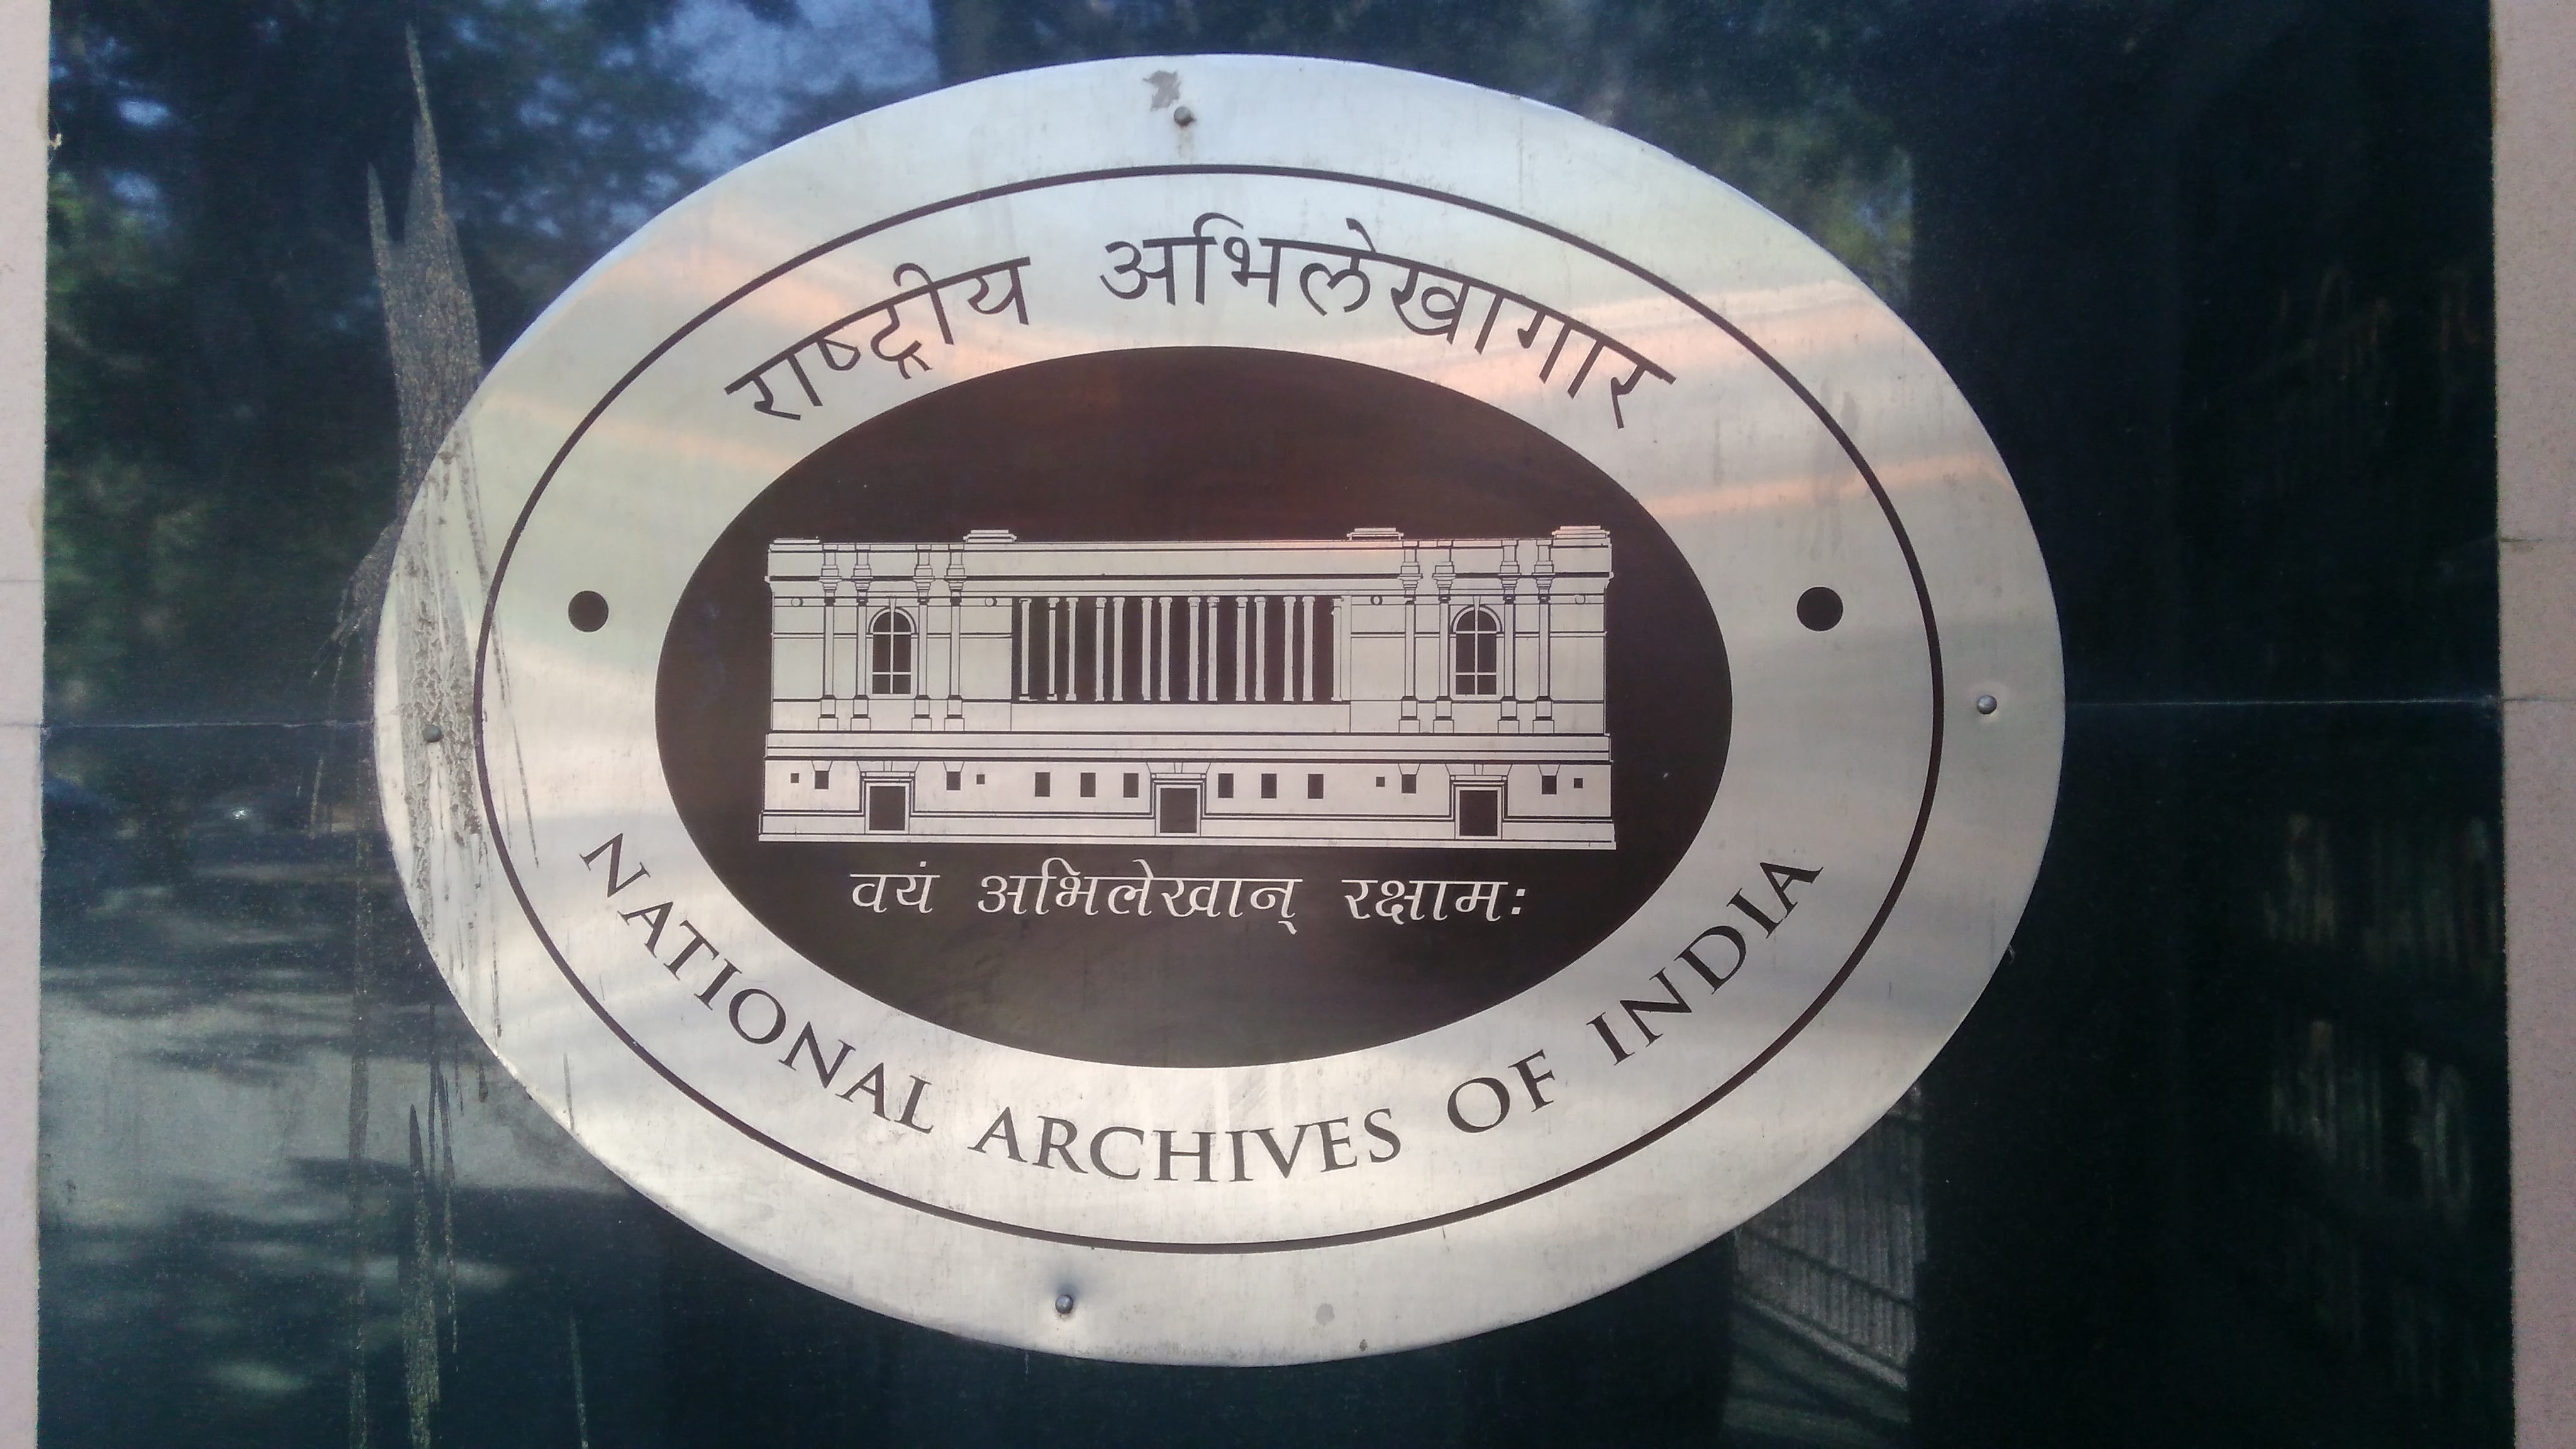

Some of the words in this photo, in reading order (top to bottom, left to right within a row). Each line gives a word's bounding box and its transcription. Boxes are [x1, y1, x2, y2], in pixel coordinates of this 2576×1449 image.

[721, 252, 1033, 426] राष्ट्रीय
[1093, 206, 1678, 434] अभिलेखागार
[847, 856, 940, 918] वयं
[972, 851, 1306, 937] अभिलेखान्
[1342, 875, 1529, 929] रक्षामः
[577, 830, 936, 1141] NATIONAL
[1581, 856, 1827, 1070] INDIA
[1433, 1047, 1563, 1146] OF
[962, 1104, 1405, 1189] ARCHIVES